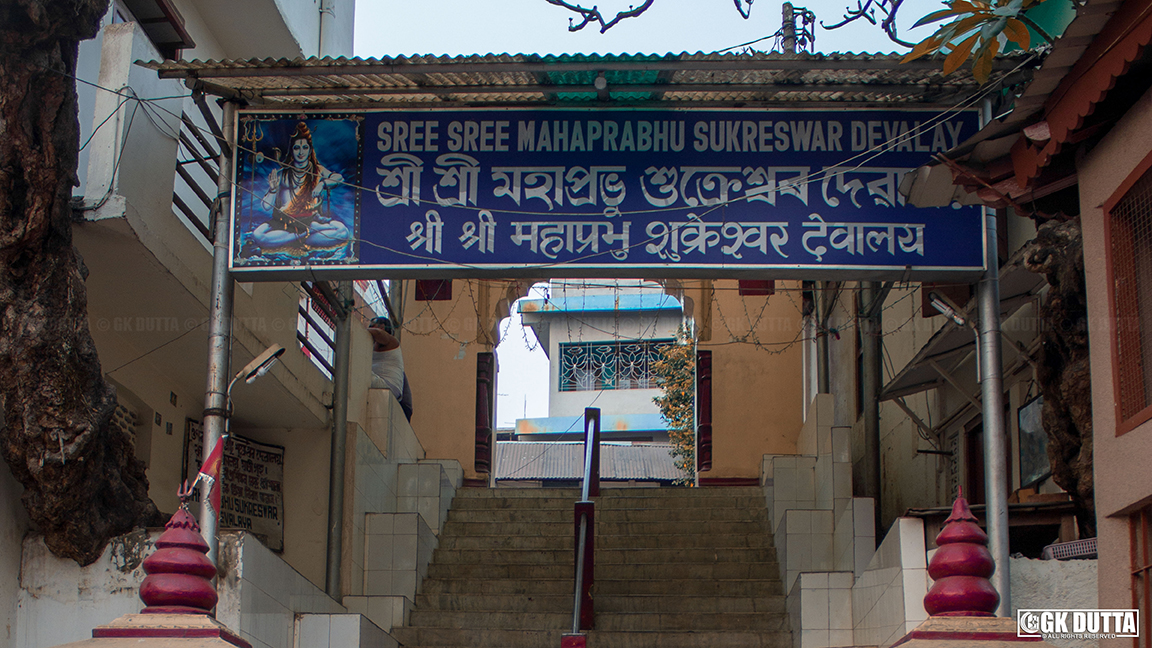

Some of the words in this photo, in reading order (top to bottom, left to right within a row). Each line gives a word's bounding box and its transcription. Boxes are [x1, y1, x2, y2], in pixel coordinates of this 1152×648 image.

[369, 110, 444, 159] SREE
[445, 115, 515, 157] SREE
[513, 111, 694, 159] MAHAPRABHU
[687, 112, 852, 159] SUKRESWAR
[843, 111, 968, 159] DEVALAY
[368, 143, 430, 210] শ্রী
[424, 144, 486, 212] শ্রী
[490, 158, 633, 224] মহাপ্ৰভু
[638, 157, 815, 215] শুক্ৰেশ্বৰ
[401, 206, 450, 256] श्री
[454, 207, 500, 257] श्री
[505, 211, 637, 267] महाप्रभु
[637, 208, 795, 268] शुक्रेश्वर
[798, 206, 932, 265] देवालय
[108, 312, 186, 337] GKDUTTA
[230, 495, 284, 522] SUKRESWAR
[1035, 605, 1076, 638] GK
[1070, 603, 1141, 638] DUTTA